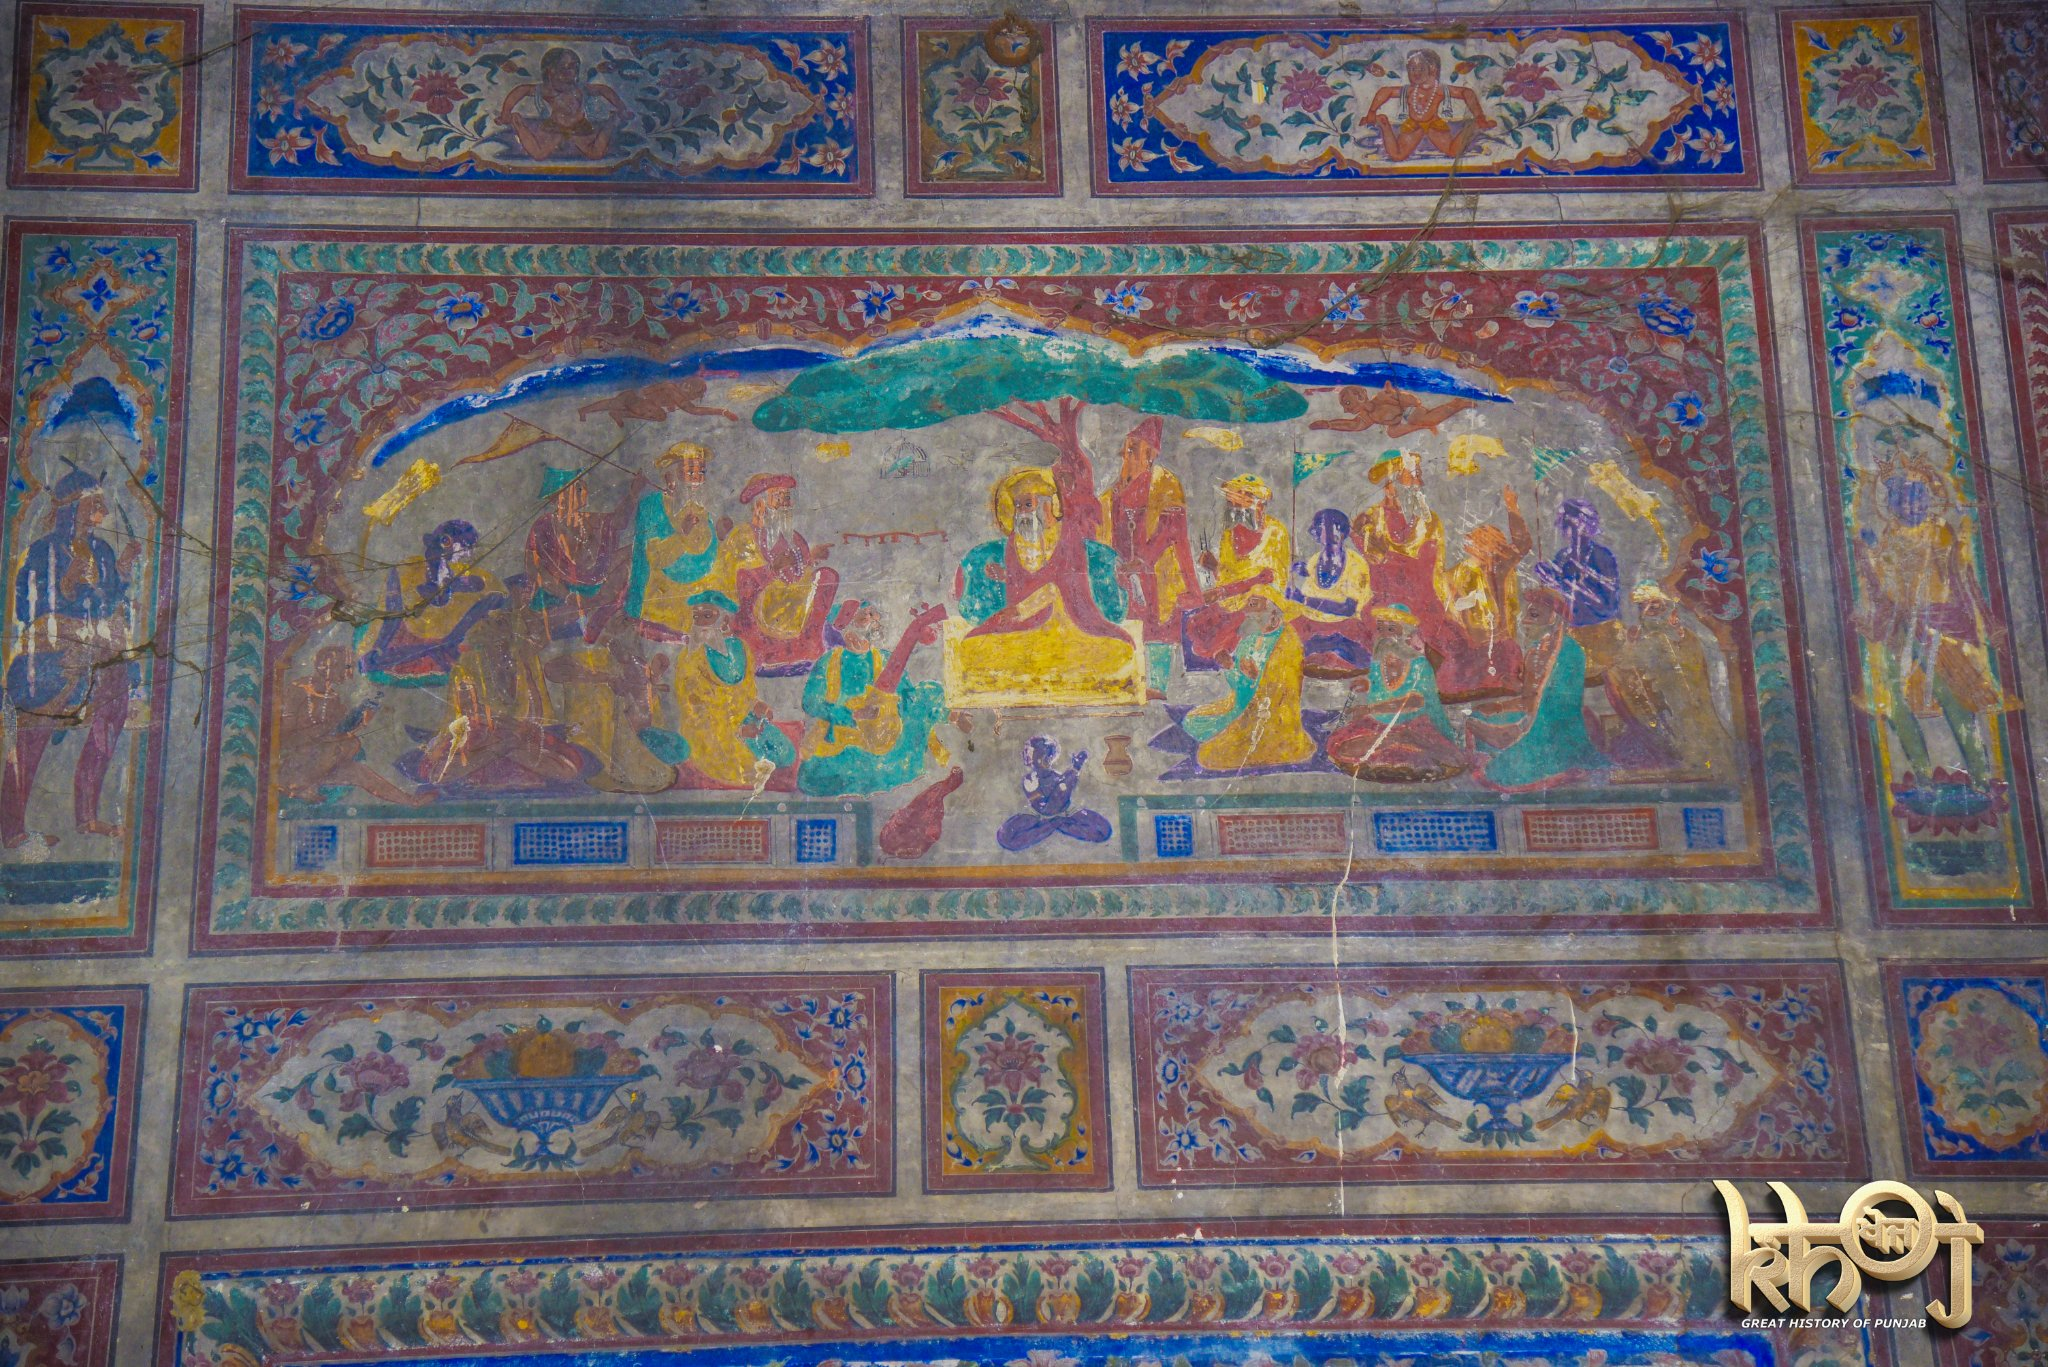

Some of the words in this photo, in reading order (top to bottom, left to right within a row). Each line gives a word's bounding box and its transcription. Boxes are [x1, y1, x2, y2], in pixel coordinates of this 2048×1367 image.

[1695, 1178, 2001, 1338] knoj
[1736, 1316, 1788, 1332] GREAT
[1786, 1316, 1851, 1331] HISTORY
[1849, 1315, 1873, 1332] OF
[1869, 1314, 1930, 1332] PUNJAB